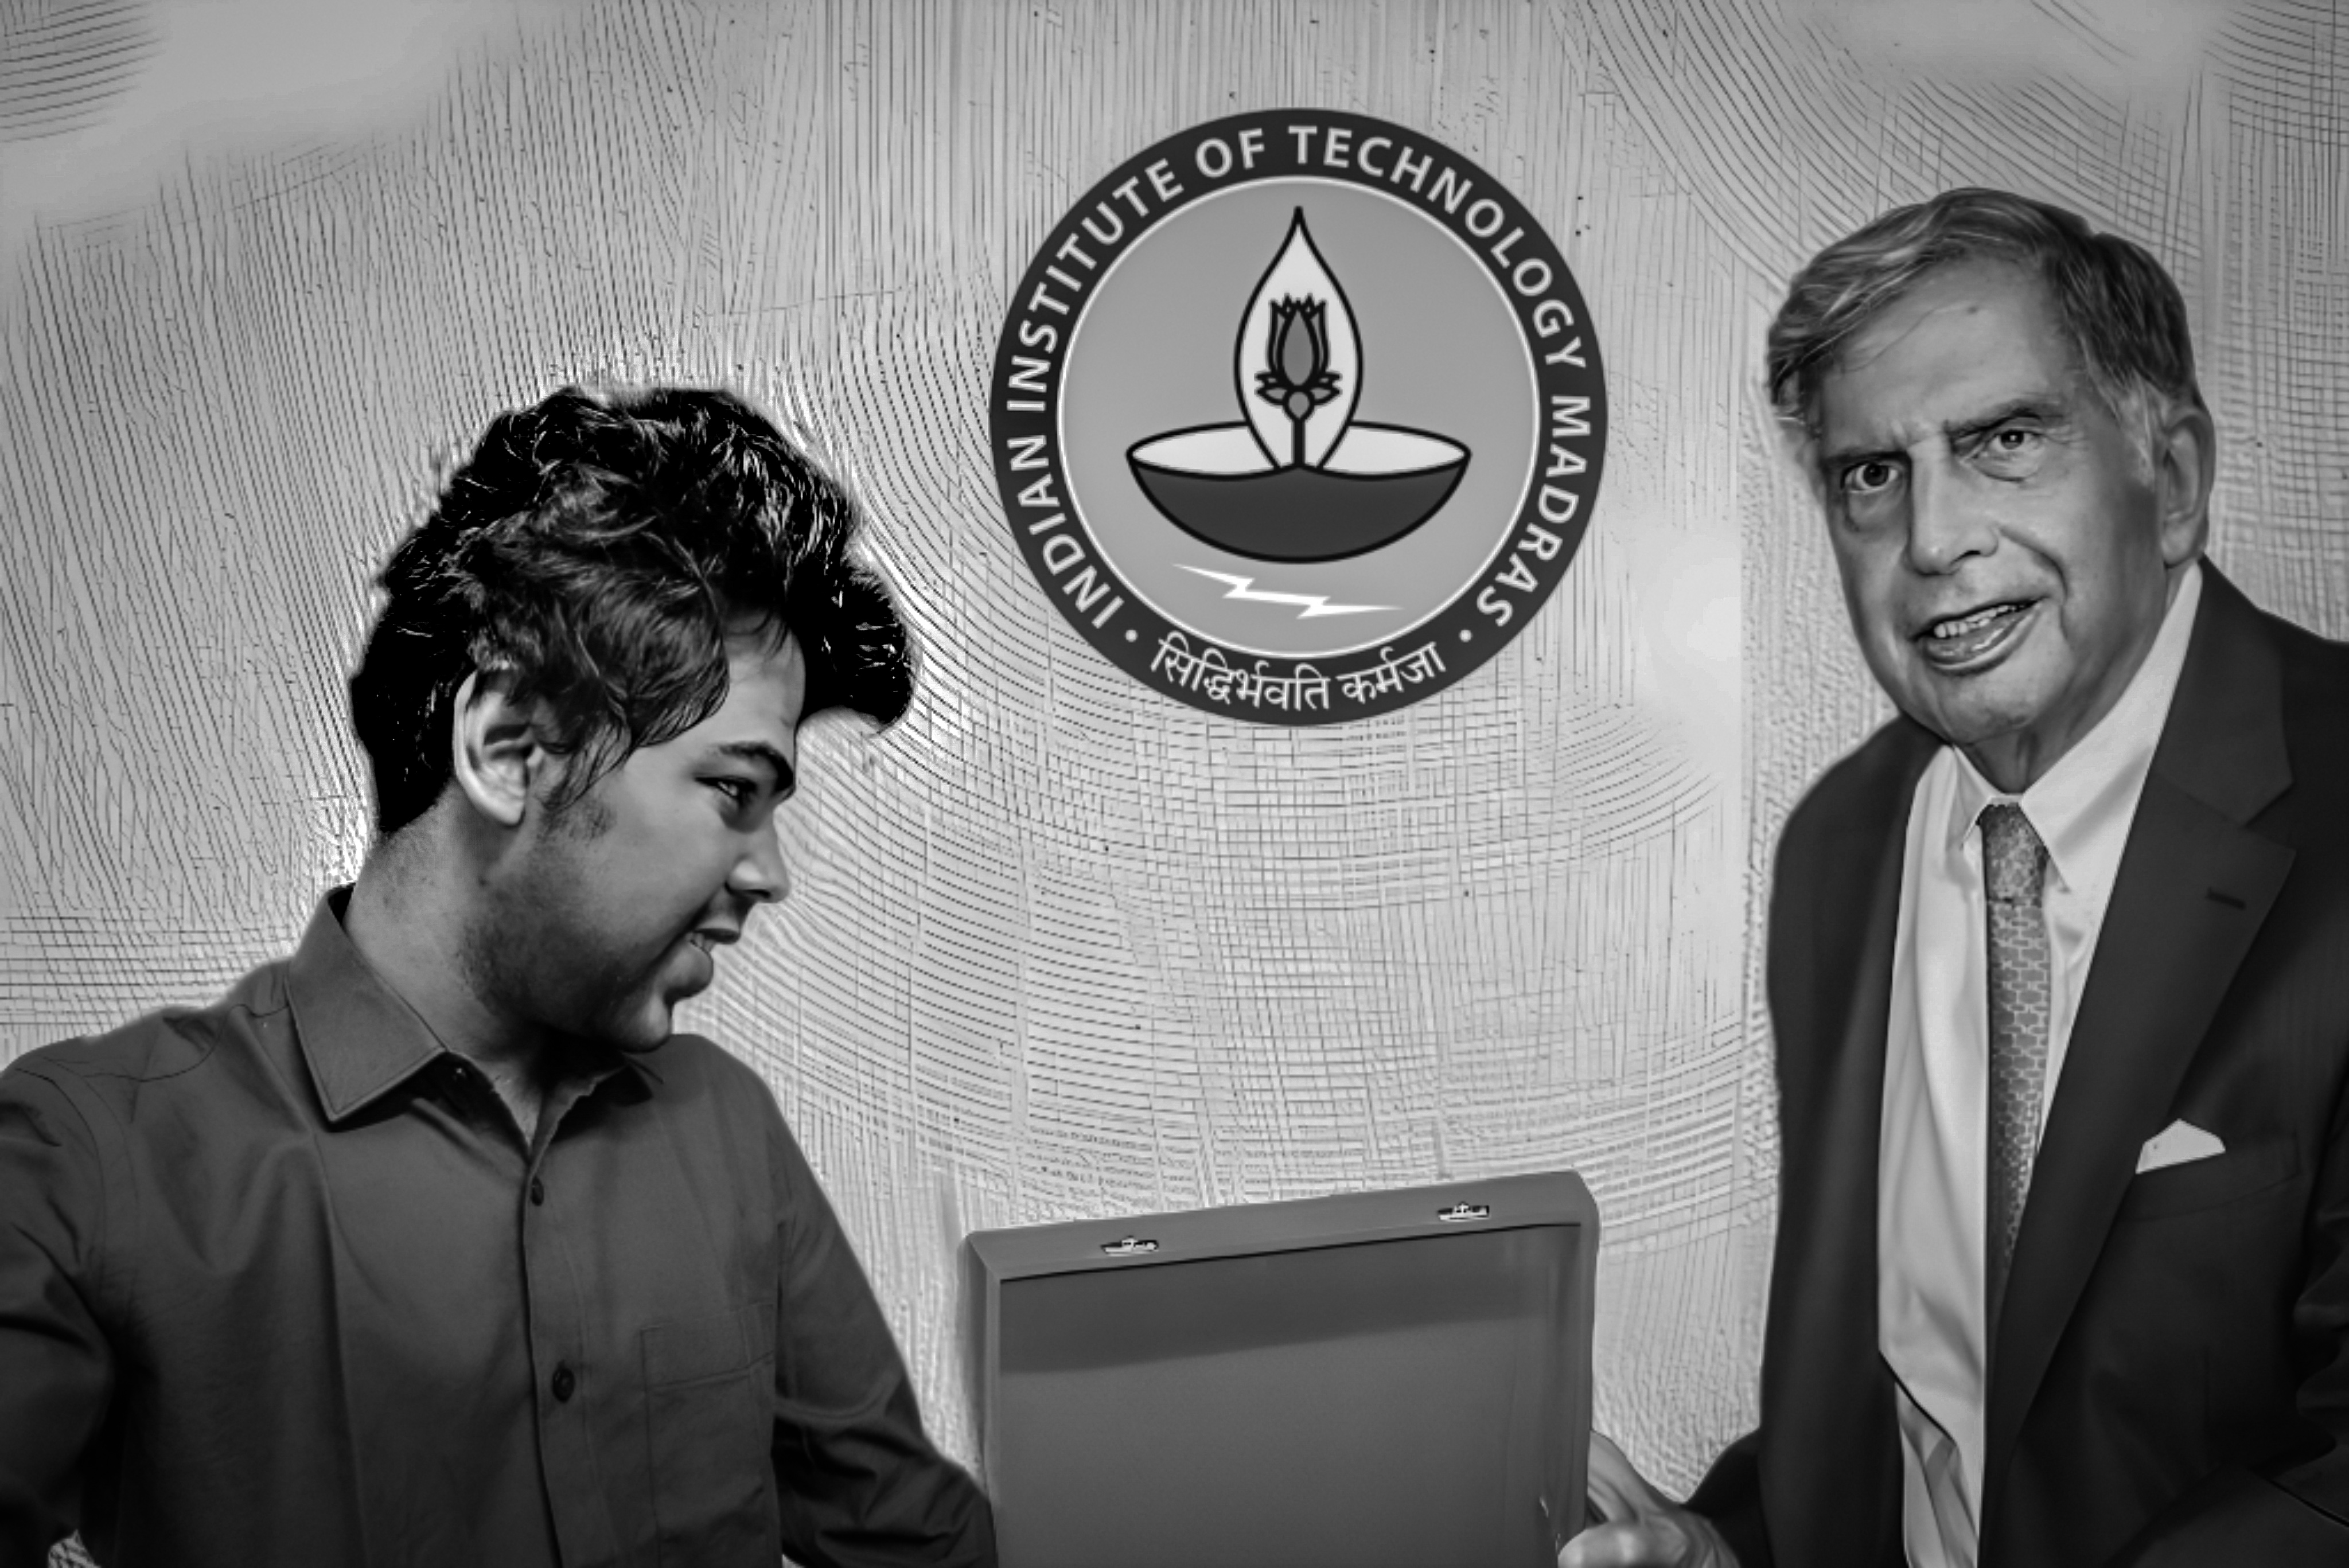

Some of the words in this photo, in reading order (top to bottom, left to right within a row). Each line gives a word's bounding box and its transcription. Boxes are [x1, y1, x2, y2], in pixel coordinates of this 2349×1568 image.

[1001, 151, 1190, 420] INSTITUTE
[1187, 119, 1271, 188] OF
[1287, 119, 1596, 375] TECHNOLOGY
[1004, 431, 1129, 635] INDIAN
[1470, 394, 1600, 635] MADRAS
[1147, 621, 1338, 715] सिद्धिर्भवति
[1333, 638, 1454, 714] कर्मजा